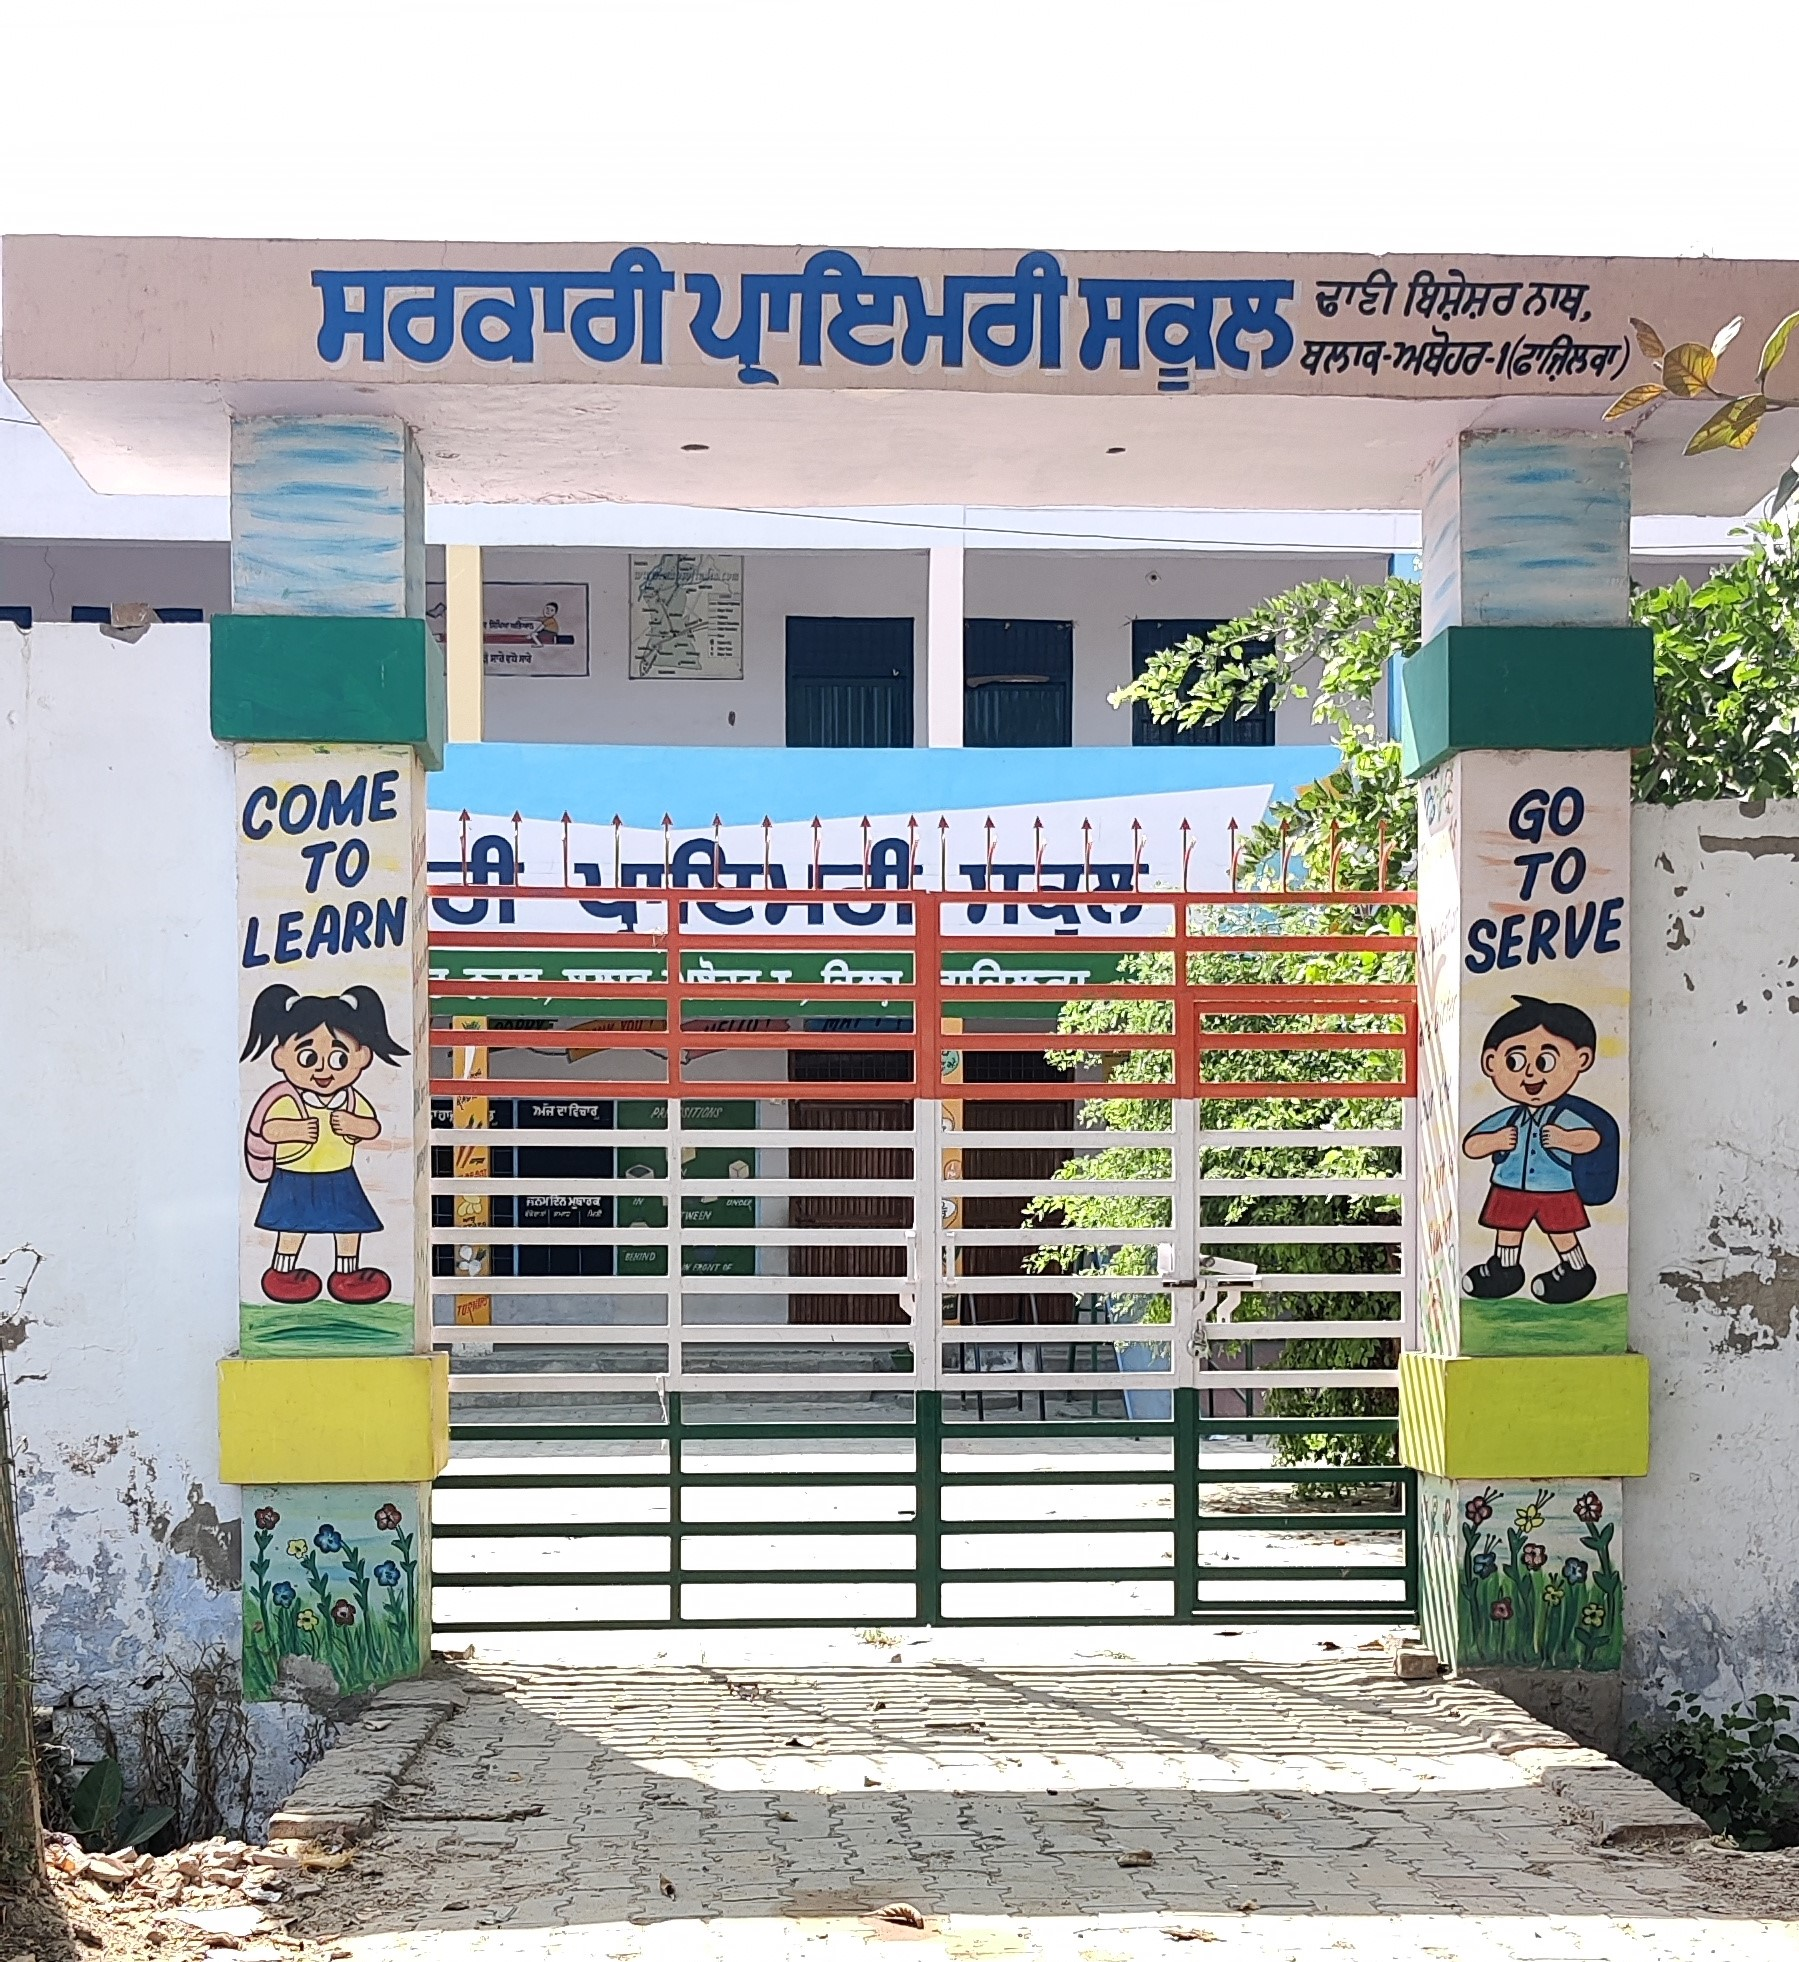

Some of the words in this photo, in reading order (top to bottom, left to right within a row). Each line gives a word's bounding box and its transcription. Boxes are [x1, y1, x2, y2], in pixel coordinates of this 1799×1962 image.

[297, 240, 681, 372] ਸਰਕਾਰੀ
[679, 245, 1076, 389] ਪ੍ਰਾਇਮਰੀ
[1069, 263, 1300, 396] ਸਕੂੂਲ
[1306, 262, 1403, 324] ਢਾਣੀ
[1295, 322, 1517, 379] ਬਲਾਕ-ਅਬੋਹਰ-1
[1398, 263, 1527, 327] ਬਿਸ਼ੇਸ਼ਰ
[1519, 273, 1599, 328] ਨਾਥ,
[1511, 330, 1625, 386] ਫਾਜ਼ਿਲਕਾ
[236, 764, 405, 850] COME
[1501, 775, 1595, 854] GO
[288, 834, 376, 897] TO
[1506, 840, 1594, 903] TO
[240, 884, 411, 973] LEARN
[1459, 894, 1625, 974] SERVE